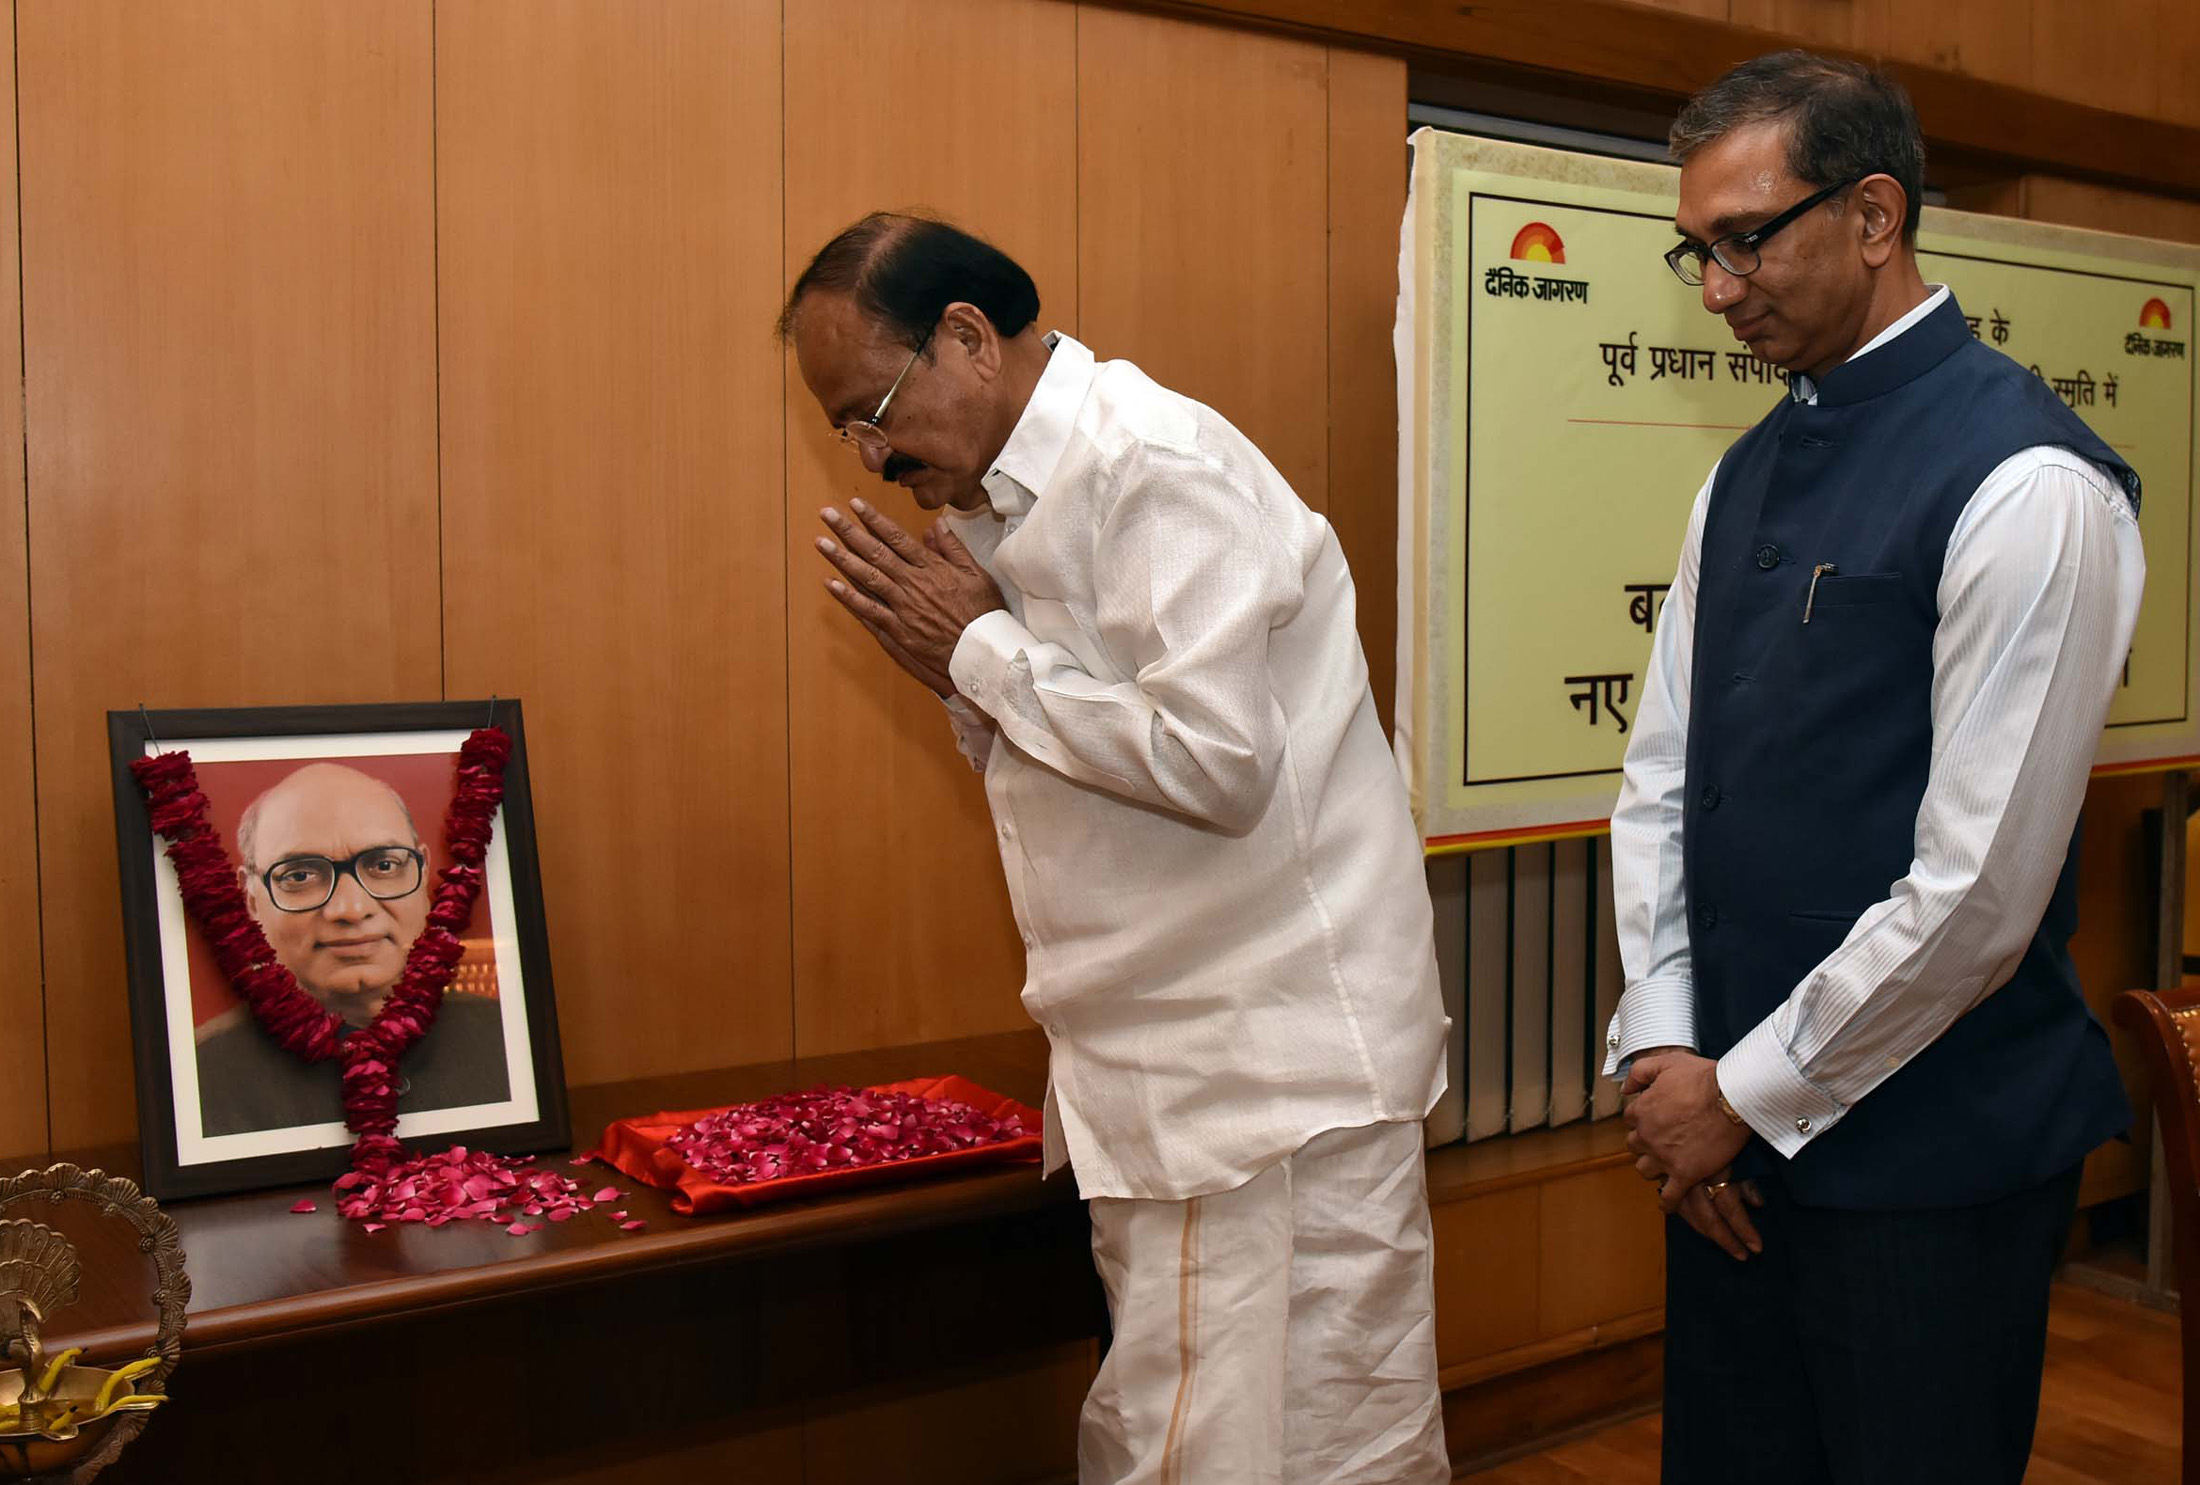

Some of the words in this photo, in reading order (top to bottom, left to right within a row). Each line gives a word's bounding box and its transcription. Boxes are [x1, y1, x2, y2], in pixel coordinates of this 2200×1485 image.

[1481, 263, 1532, 299] दैनिक
[1527, 275, 1592, 307] जागरण
[1596, 326, 1639, 391] पूर्व
[1640, 337, 1721, 387] प्रधान
[1724, 342, 1789, 387] संपाद
[1987, 305, 2013, 345] केे
[2123, 329, 2151, 358] दैनिक
[2150, 337, 2188, 363] जागरण
[2053, 363, 2097, 409] स्मृति
[2102, 369, 2121, 408] में
[1562, 671, 1634, 736] नए